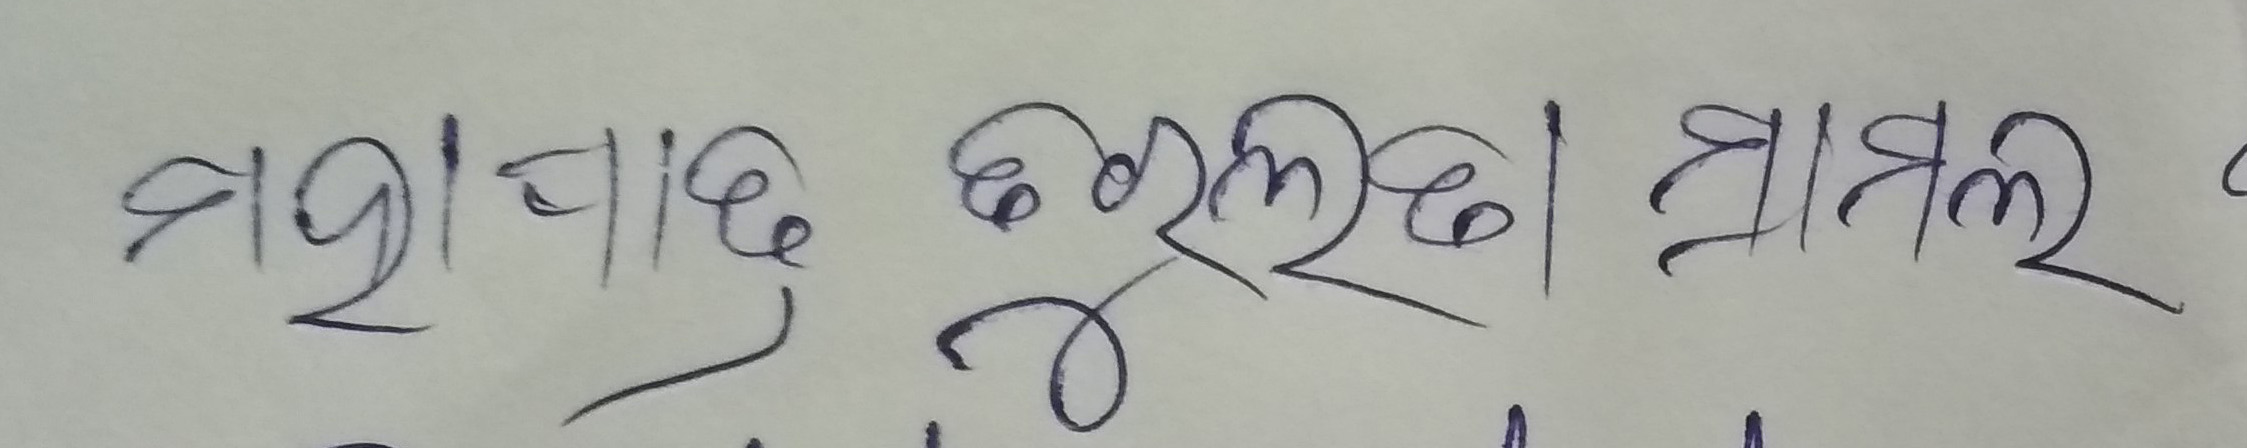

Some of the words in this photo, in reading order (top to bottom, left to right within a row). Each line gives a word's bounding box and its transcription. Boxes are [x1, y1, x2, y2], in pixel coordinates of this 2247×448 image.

[1635, 95, 2190, 320] ମ୍ରାମଲ